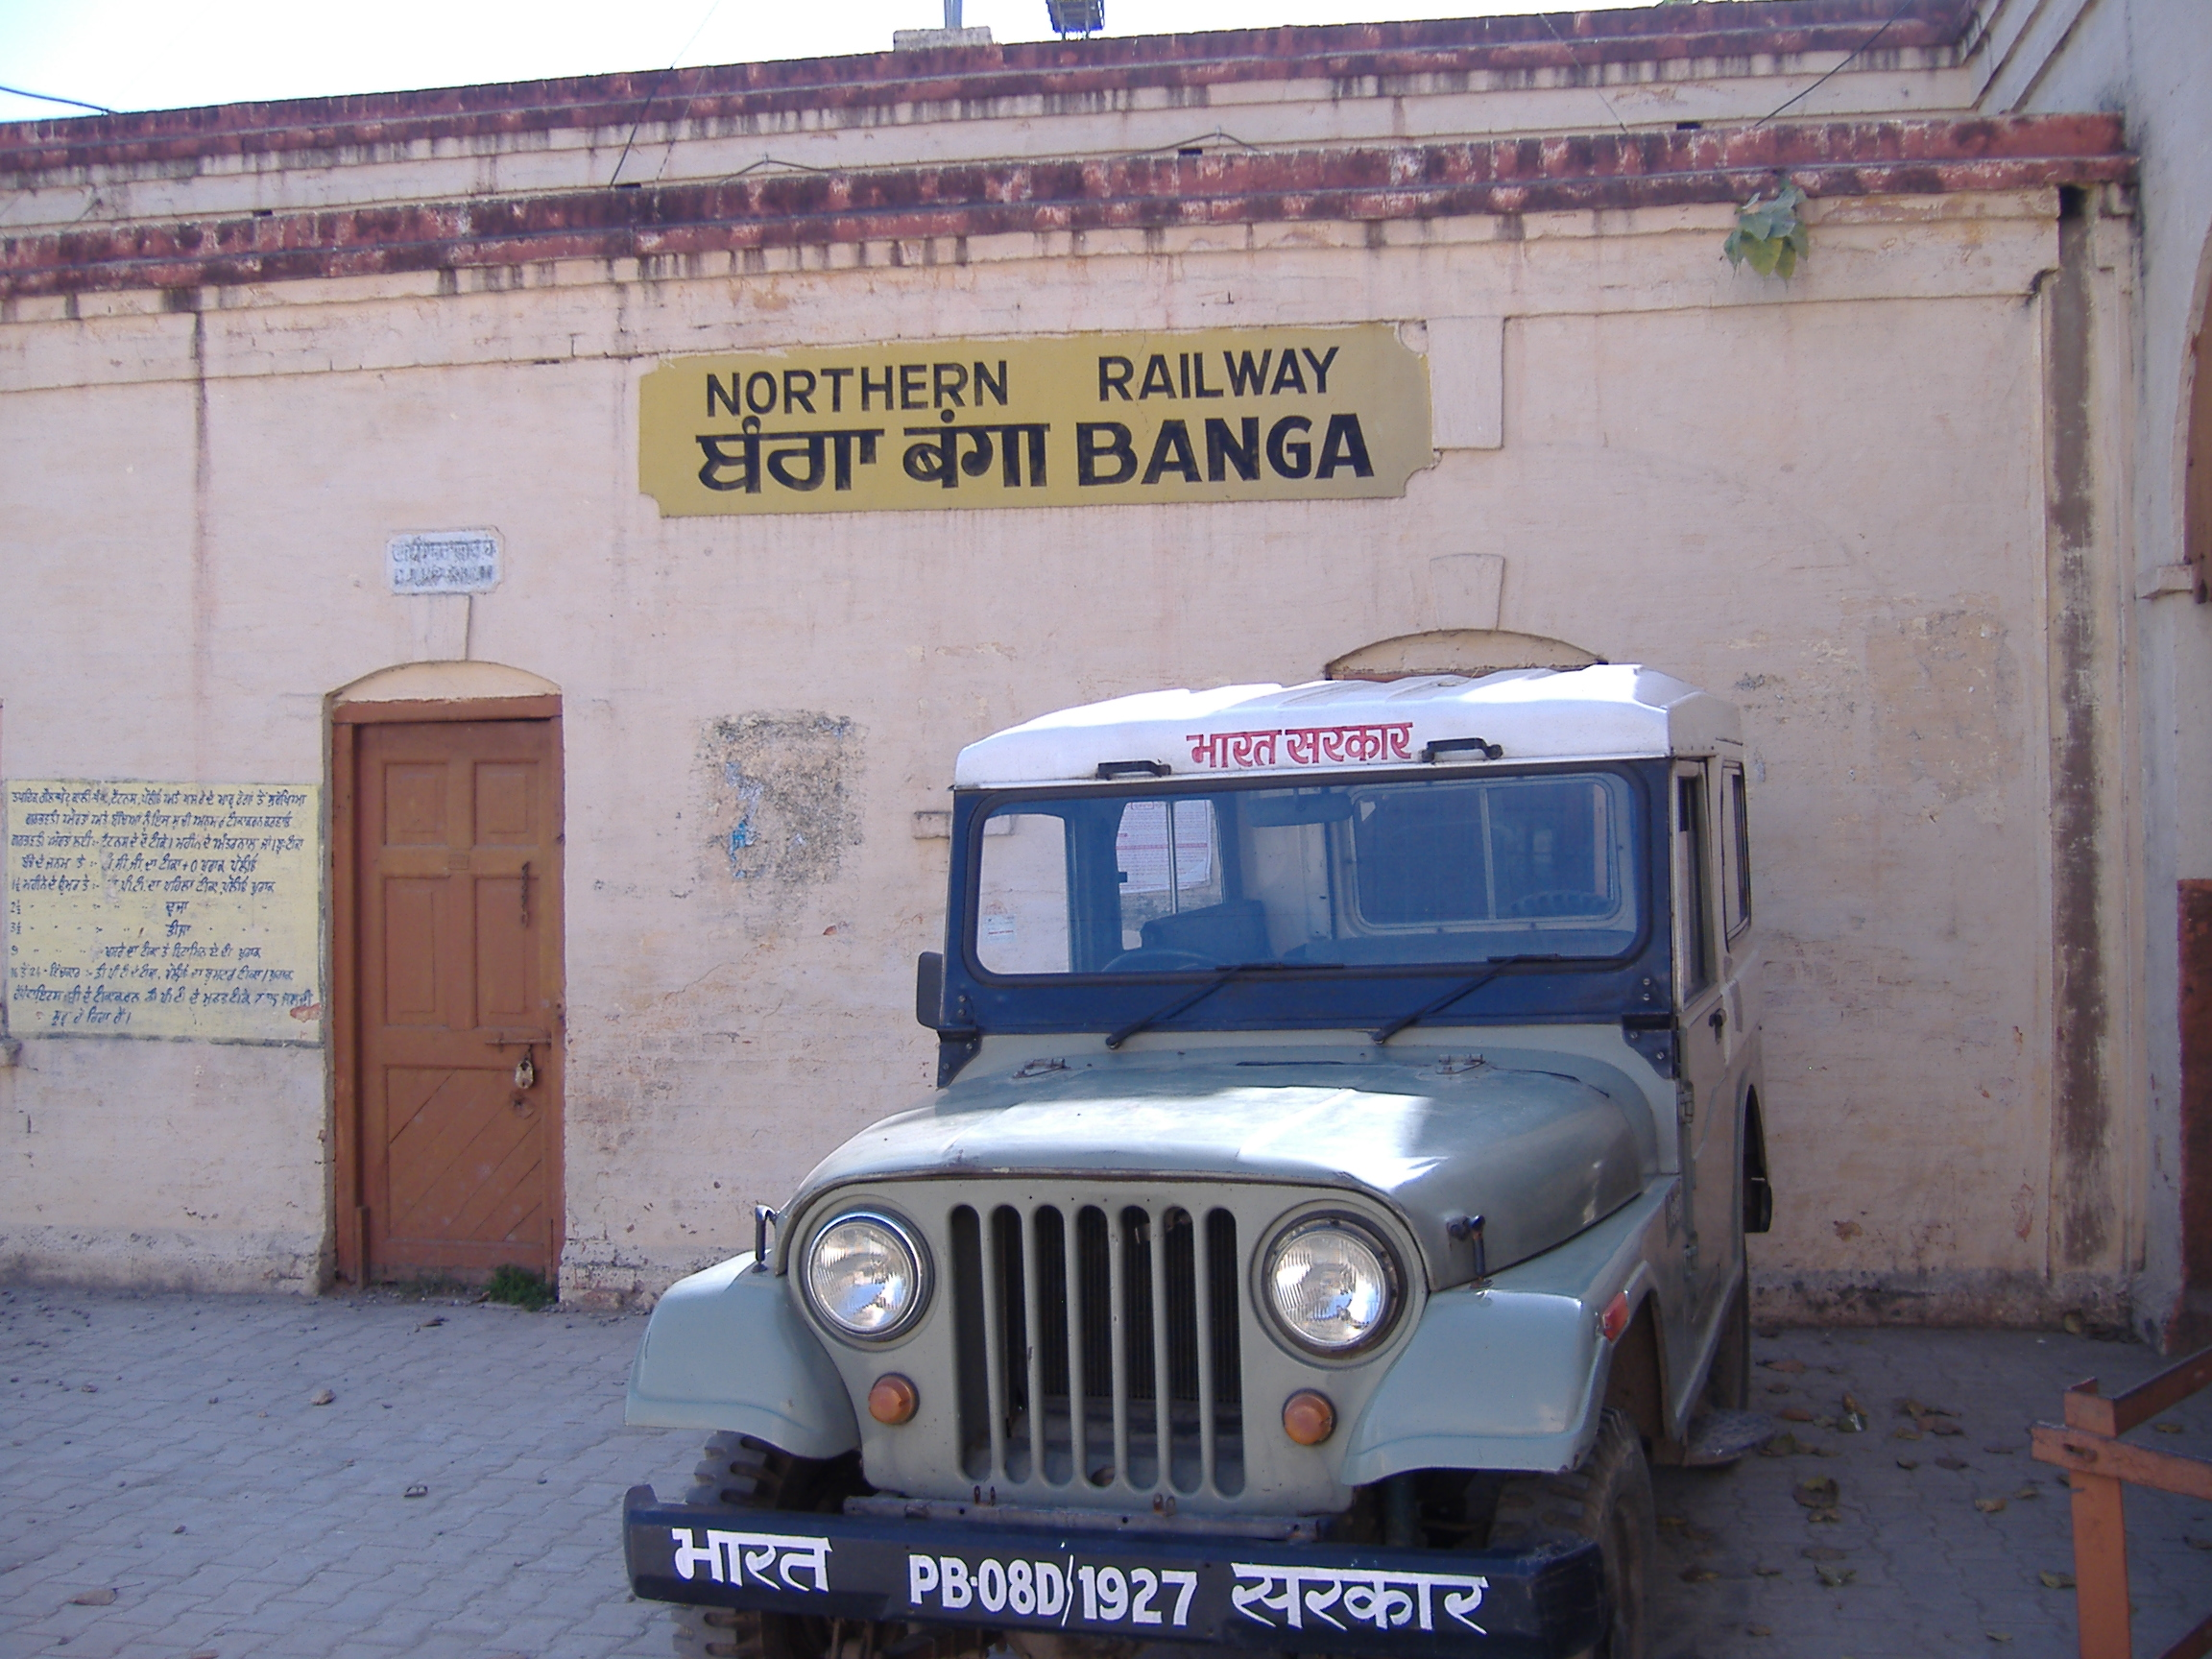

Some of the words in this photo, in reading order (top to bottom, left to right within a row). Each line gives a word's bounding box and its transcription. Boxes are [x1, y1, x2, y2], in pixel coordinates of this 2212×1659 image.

[691, 351, 1016, 426] NORTHERN
[1085, 339, 1348, 409] RAILWAY
[683, 415, 891, 507] ਬੰਗਾ
[895, 407, 1060, 498] बंगा
[1065, 407, 1384, 493] BANGA
[1175, 722, 1282, 772] भारत
[1282, 719, 1419, 765] सरकार
[652, 1522, 849, 1603] भारत
[902, 1545, 1209, 1638] PB-08D/1927
[1224, 1550, 1498, 1648] सरकार